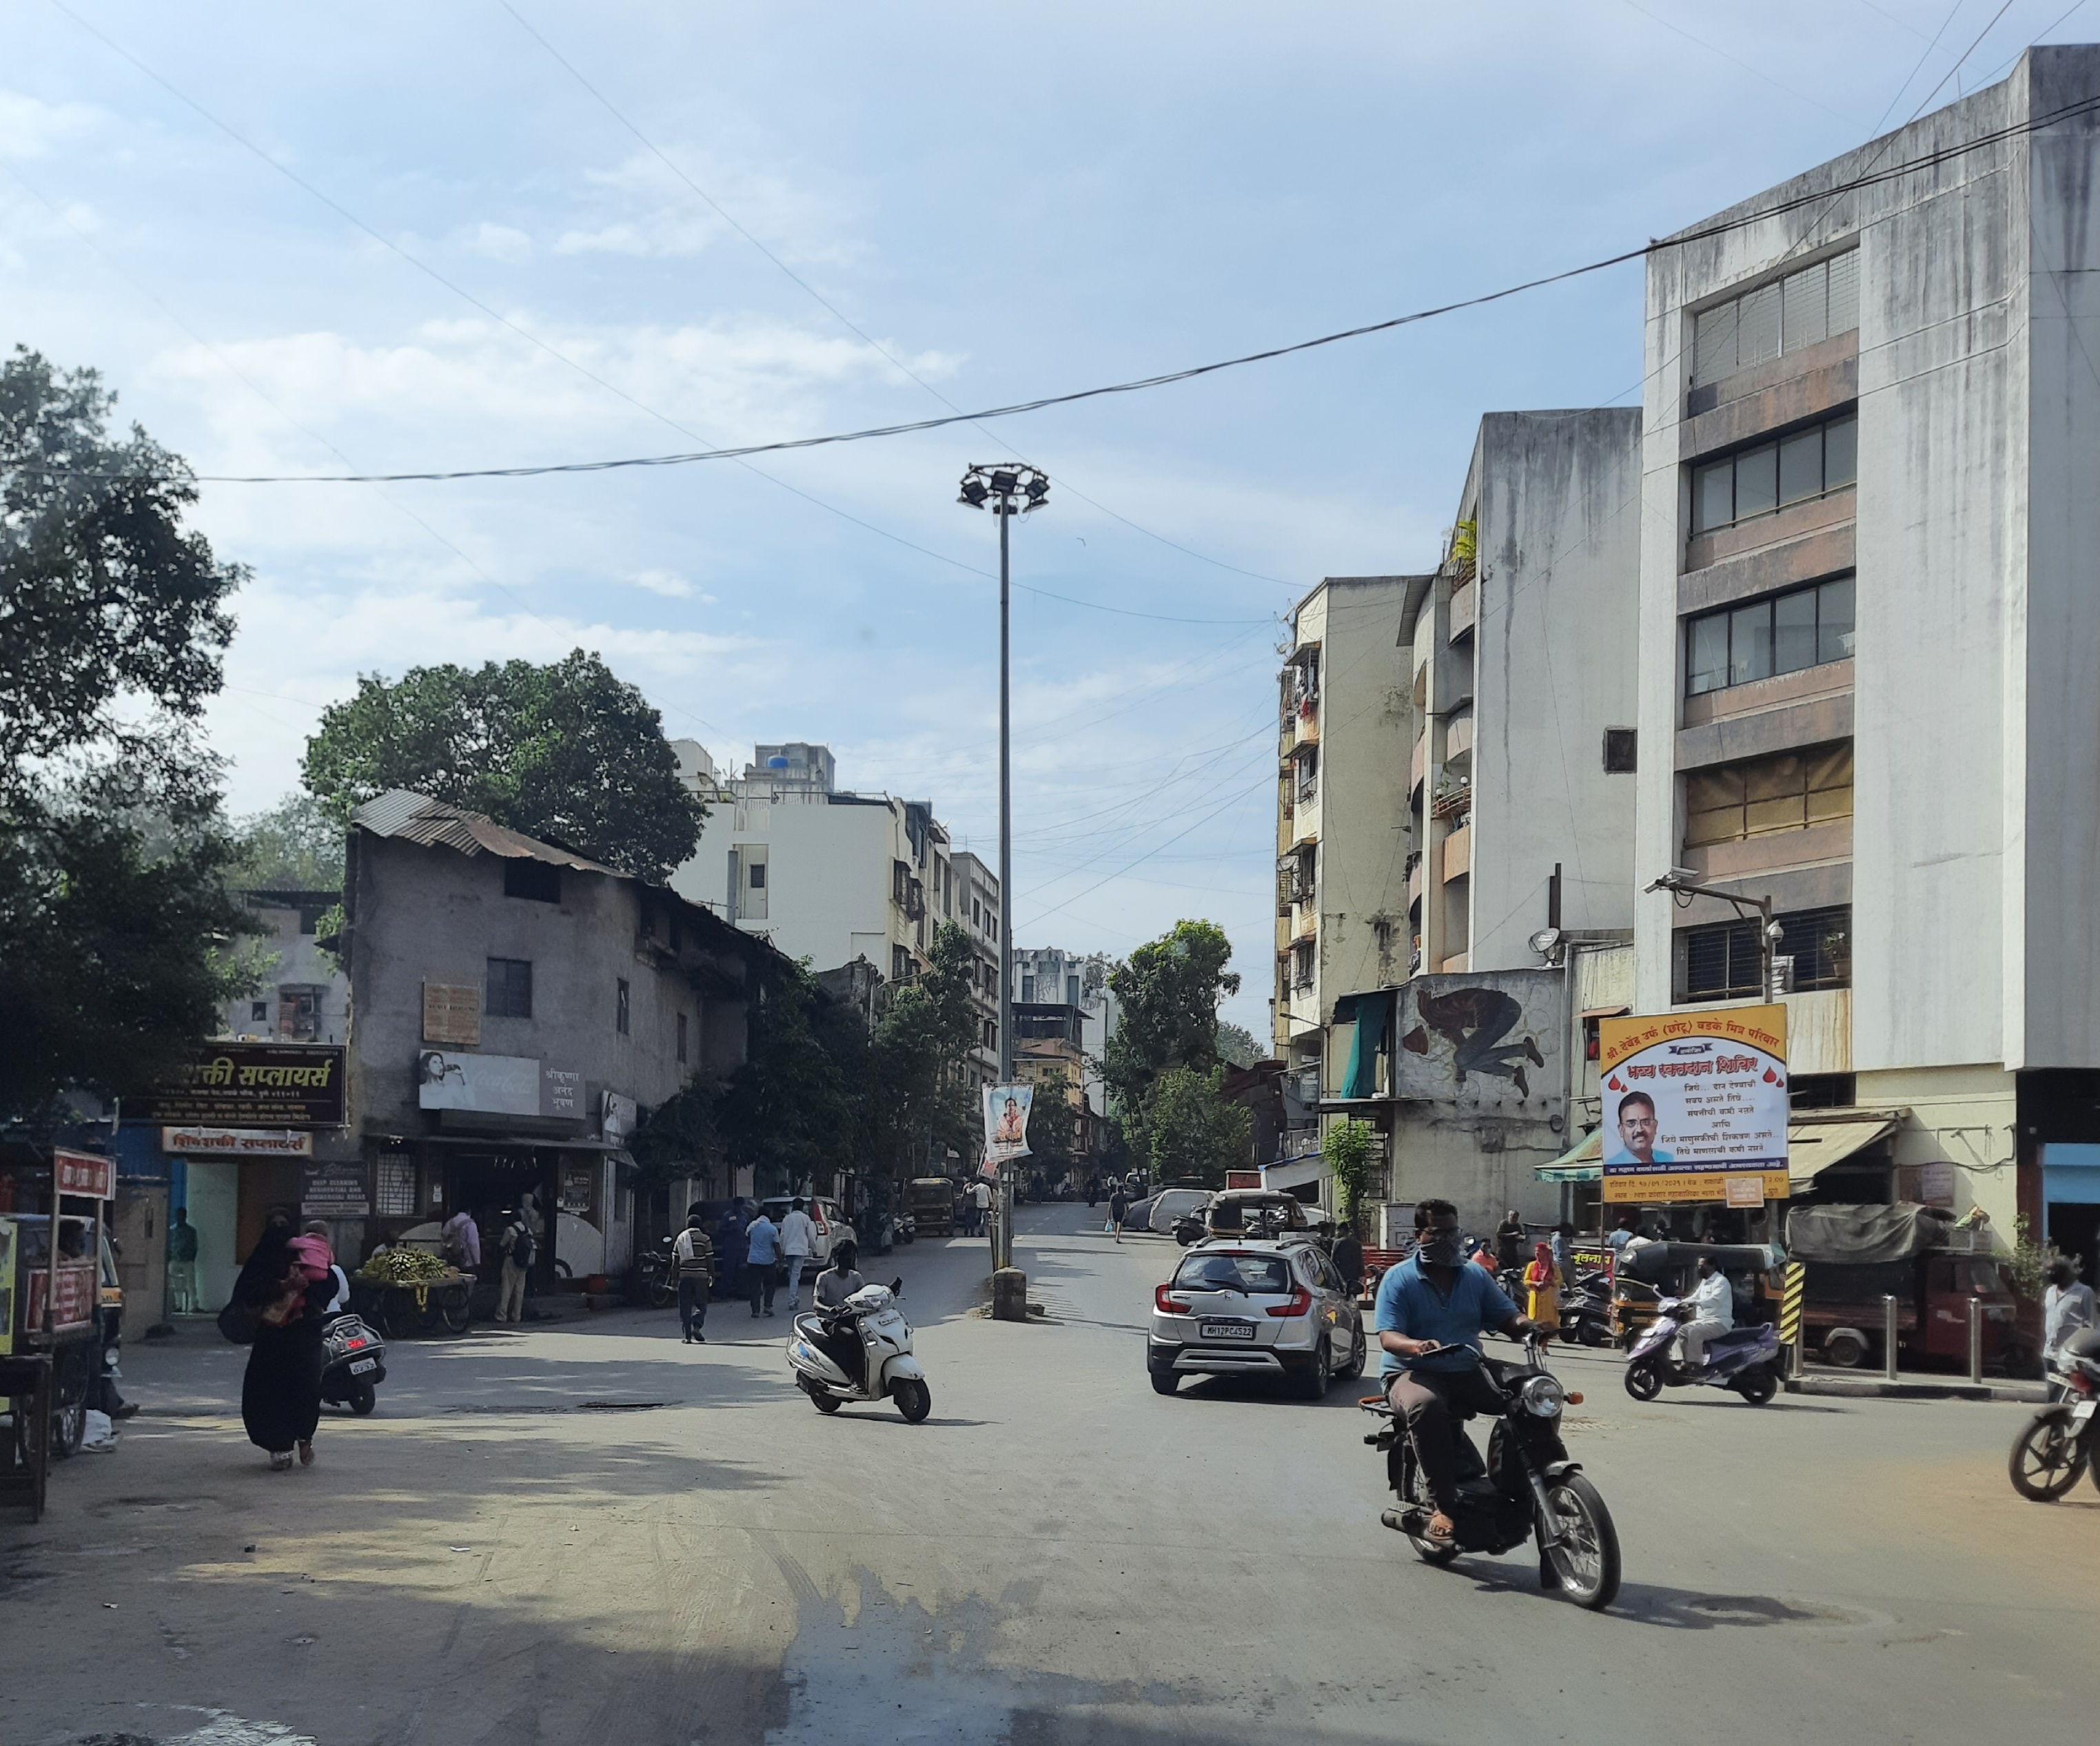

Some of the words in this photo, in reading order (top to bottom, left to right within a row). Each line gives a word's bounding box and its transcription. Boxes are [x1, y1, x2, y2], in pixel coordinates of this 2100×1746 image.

[1600, 1038, 1626, 1062] श्री.
[1617, 1030, 1645, 1056] देवेंद्र
[1637, 1019, 1661, 1045] उर्फ
[1663, 1016, 1692, 1038] (छोटूू)
[1694, 1012, 1728, 1034] वडके
[1722, 1014, 1749, 1037] मित्र
[1746, 1023, 1784, 1051] परिवार
[183, 1047, 241, 1091] शक्ती
[238, 1054, 337, 1092] सप्लायर्स
[542, 1064, 584, 1087] श्रीकृष्णा
[551, 1081, 577, 1098] अनंद
[552, 1095, 578, 1113] भूषण
[1624, 1058, 1659, 1081] भय्य
[1655, 1058, 1715, 1078] रक्तदान
[1680, 1080, 1704, 1093] जिथे.
[1682, 1089, 1706, 1105] सवय
[1686, 1105, 1720, 1118] संपत्तीची
[1704, 1089, 1726, 1105] अमते
[1709, 1079, 1730, 1093] दान
[1715, 1103, 1737, 1118] कमी
[1722, 1087, 1744, 1105] तिथे
[1709, 1048, 1761, 1076] शिविर
[1725, 1076, 1758, 1092] देण्याची
[1735, 1102, 1756, 1116] नसते
[168, 1125, 241, 1150] शिवशक्ती
[239, 1132, 309, 1152] सप्लायर्स
[1656, 1130, 1680, 1146] जिथे
[1673, 1142, 1692, 1157] तिथे
[1678, 1127, 1723, 1148] माणुसकीची
[1690, 1142, 1729, 1157] माणरगची
[1719, 1124, 1755, 1144] शिकवण
[1726, 1139, 1749, 1156] कयी
[1744, 1141, 1767, 1155] नसते